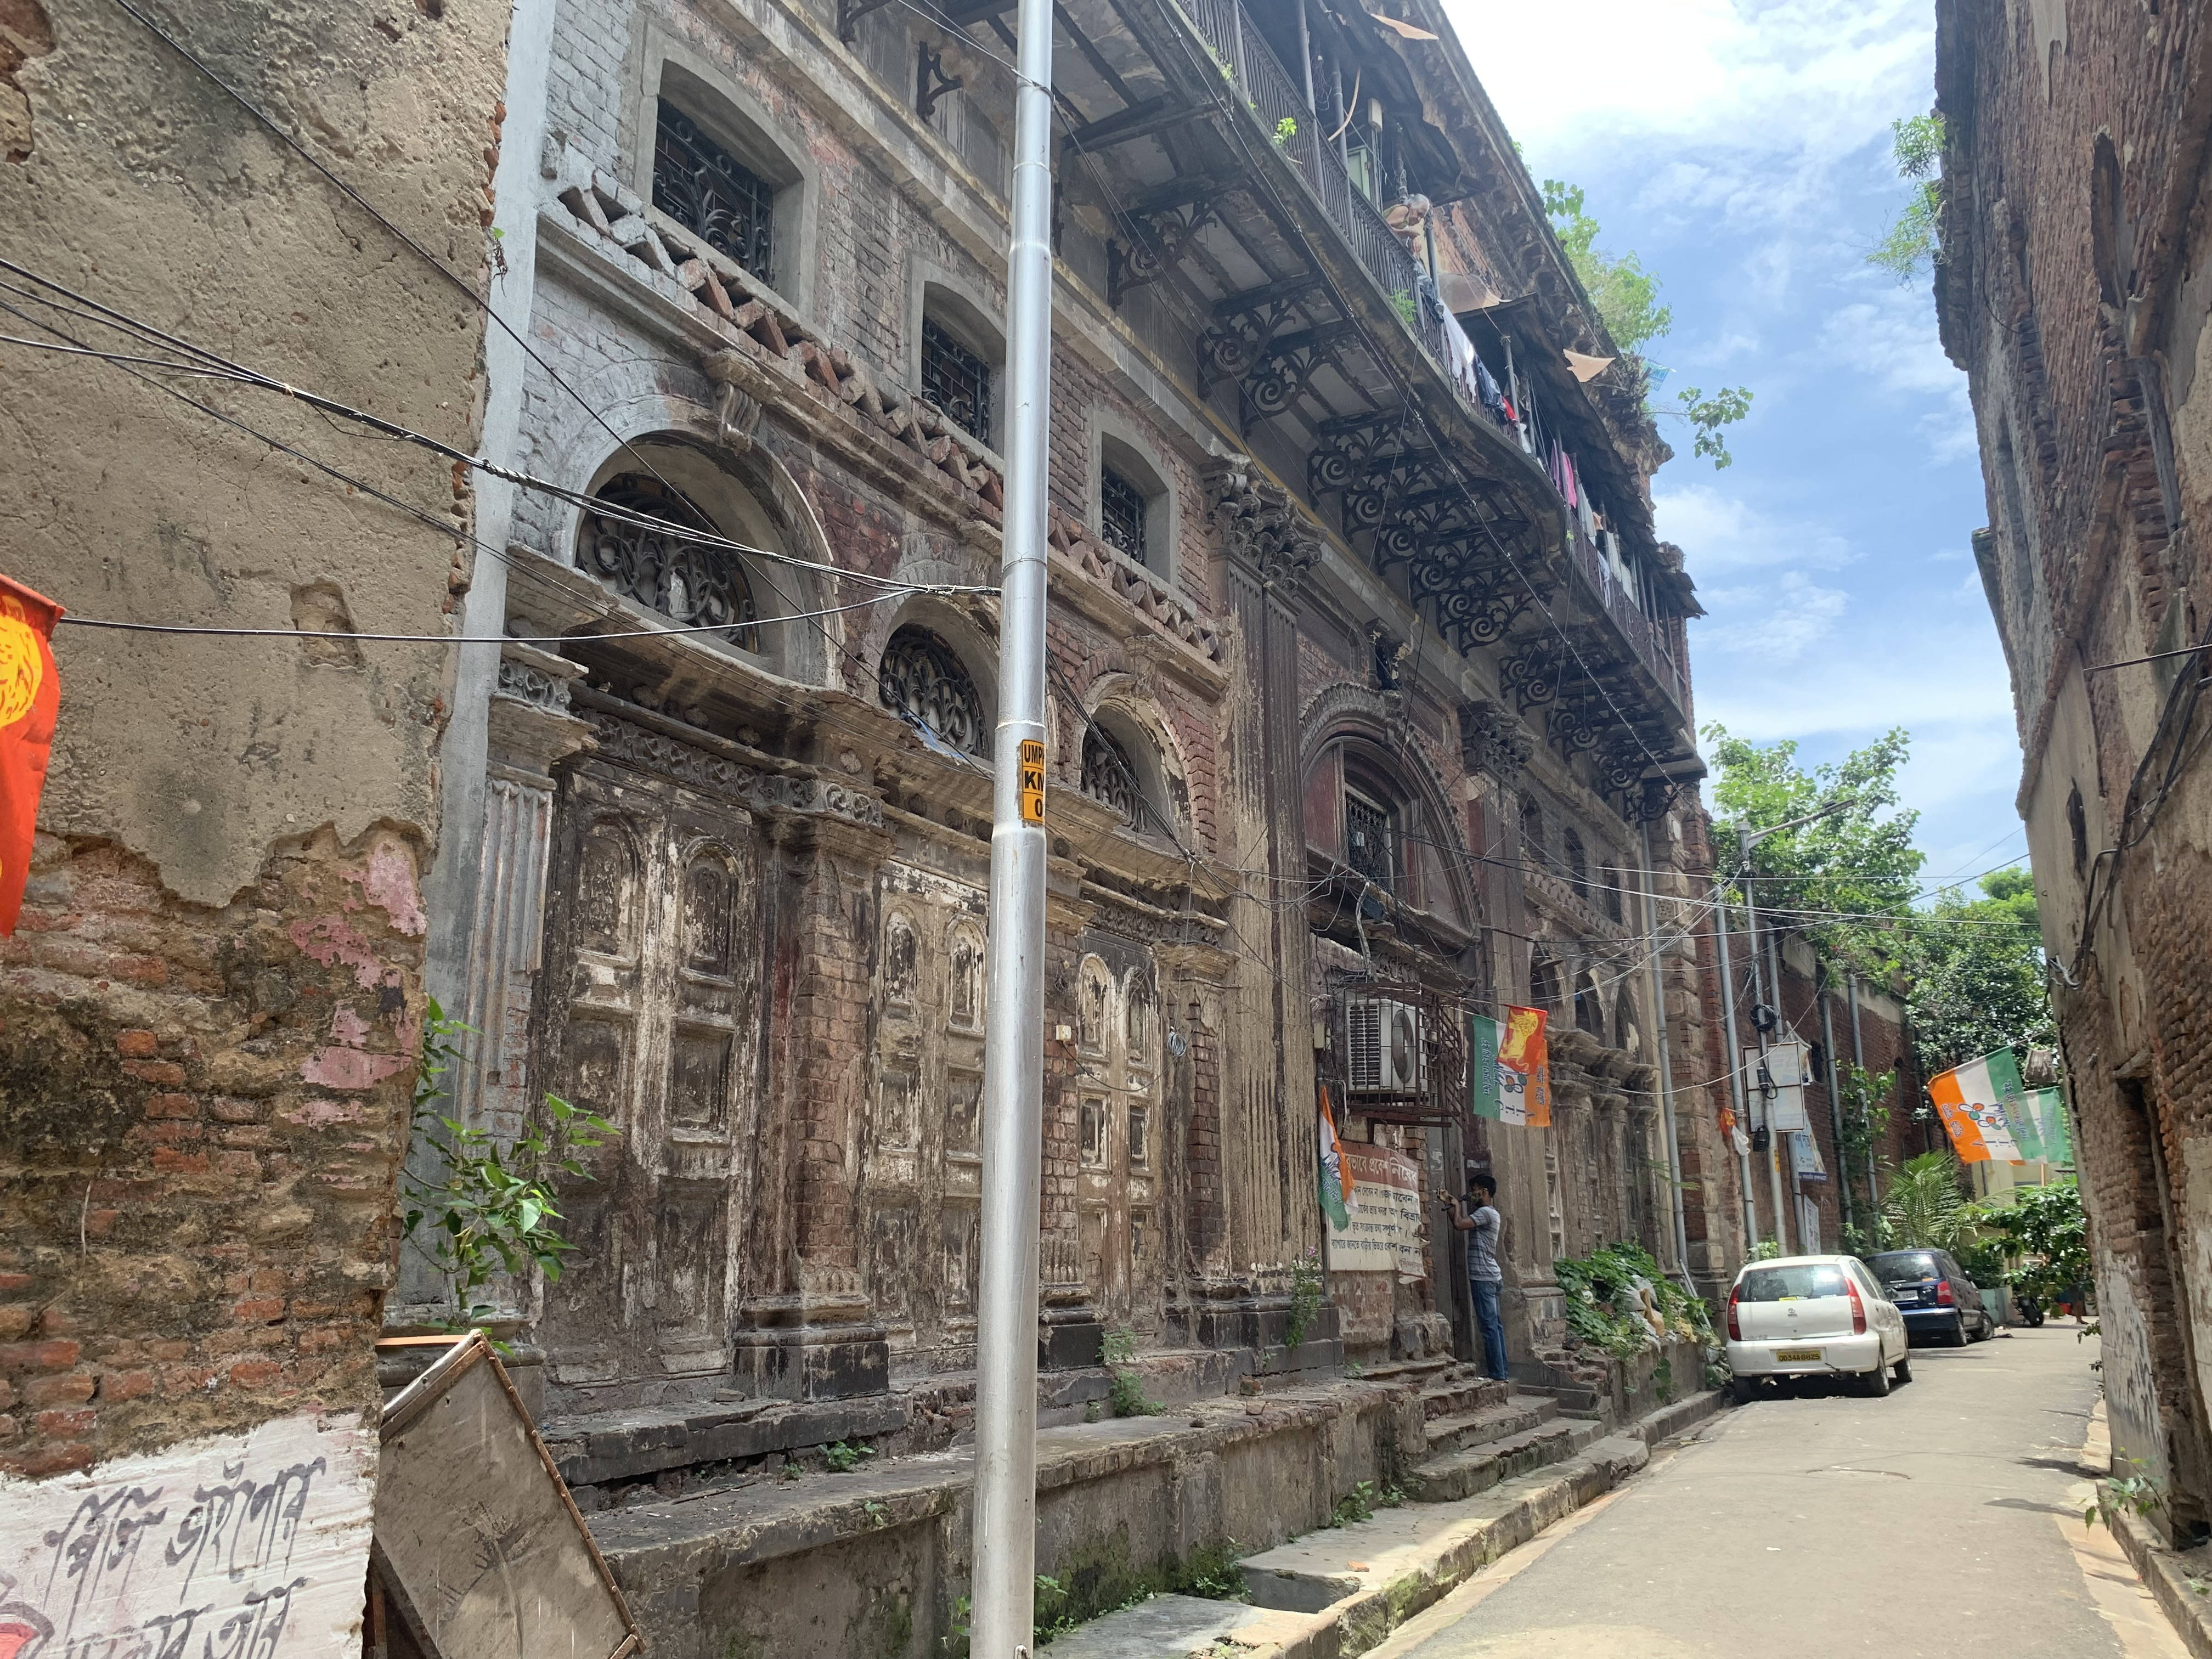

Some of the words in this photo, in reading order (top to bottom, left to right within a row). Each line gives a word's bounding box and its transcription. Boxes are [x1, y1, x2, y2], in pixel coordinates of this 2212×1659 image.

[1476, 1035, 1495, 1065] এই চিাহ্ন
[1479, 1065, 1497, 1097] ভোট দিন
[1531, 1064, 1549, 1086] তৃণমূল
[1342, 1150, 1370, 1175] বভাবে
[1367, 1152, 1391, 1178] প্রবেশ
[1384, 1152, 1420, 1188] নিষেধ
[1359, 1183, 1382, 1200] দেবেন না।
[1356, 1199, 1390, 1217] য়ার্কের ভ্রান্ত খবরে
[1398, 1204, 1423, 1226] বিভ্রার
[1349, 1220, 1384, 1237] ভূত সংক্রান্ত তথ্য
[1381, 1218, 1404, 1240] সম্পূর্ণ
[1330, 1238, 1348, 1252] ব্যাপারে
[1340, 1233, 1364, 1253] জানতে
[1358, 1233, 1386, 1254] বাড়ীর ভিতরে
[1382, 1239, 1400, 1254] বেশ
[1397, 1243, 1415, 1259] বন
[29, 1476, 184, 1636] পিসি